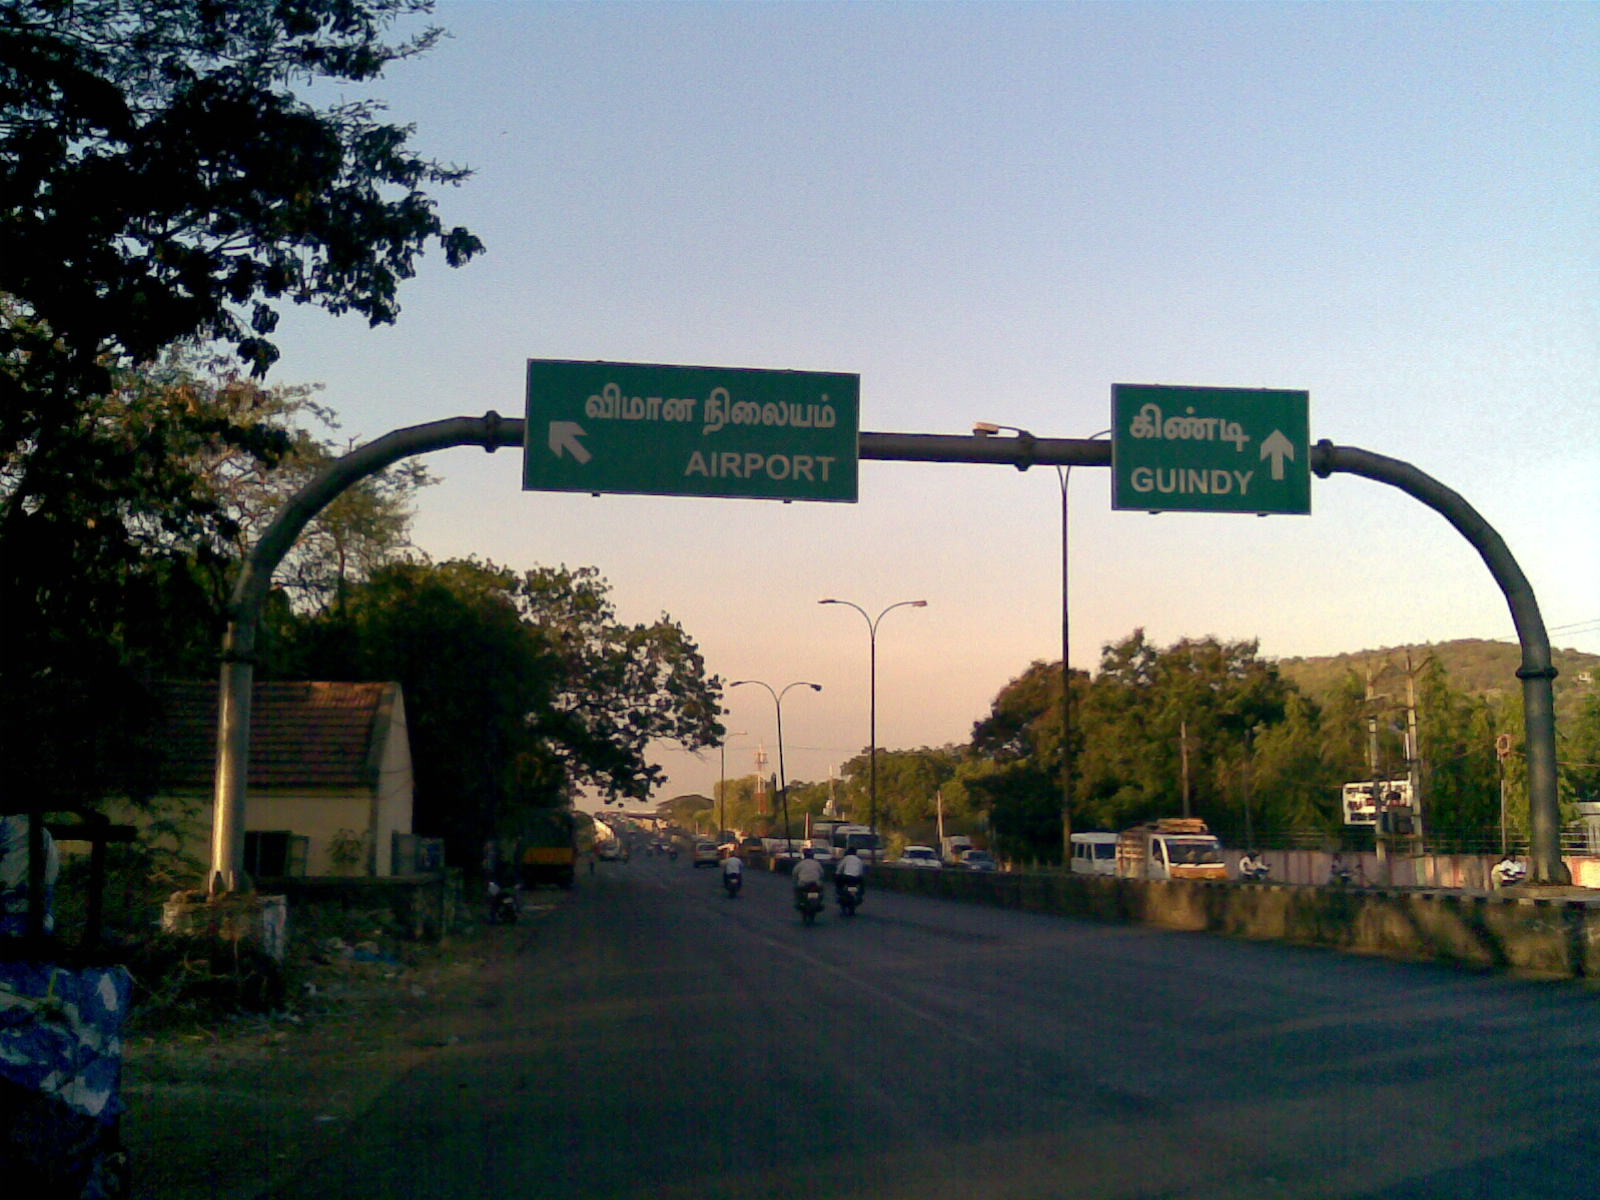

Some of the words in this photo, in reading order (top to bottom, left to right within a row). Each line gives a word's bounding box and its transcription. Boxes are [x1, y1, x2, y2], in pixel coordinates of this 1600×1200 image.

[580, 376, 702, 432] விமான
[697, 380, 846, 438] நிலையம்
[1119, 390, 1249, 457] கிண்டி
[678, 440, 842, 489] AIRPORT
[1125, 461, 1257, 498] GUINDY